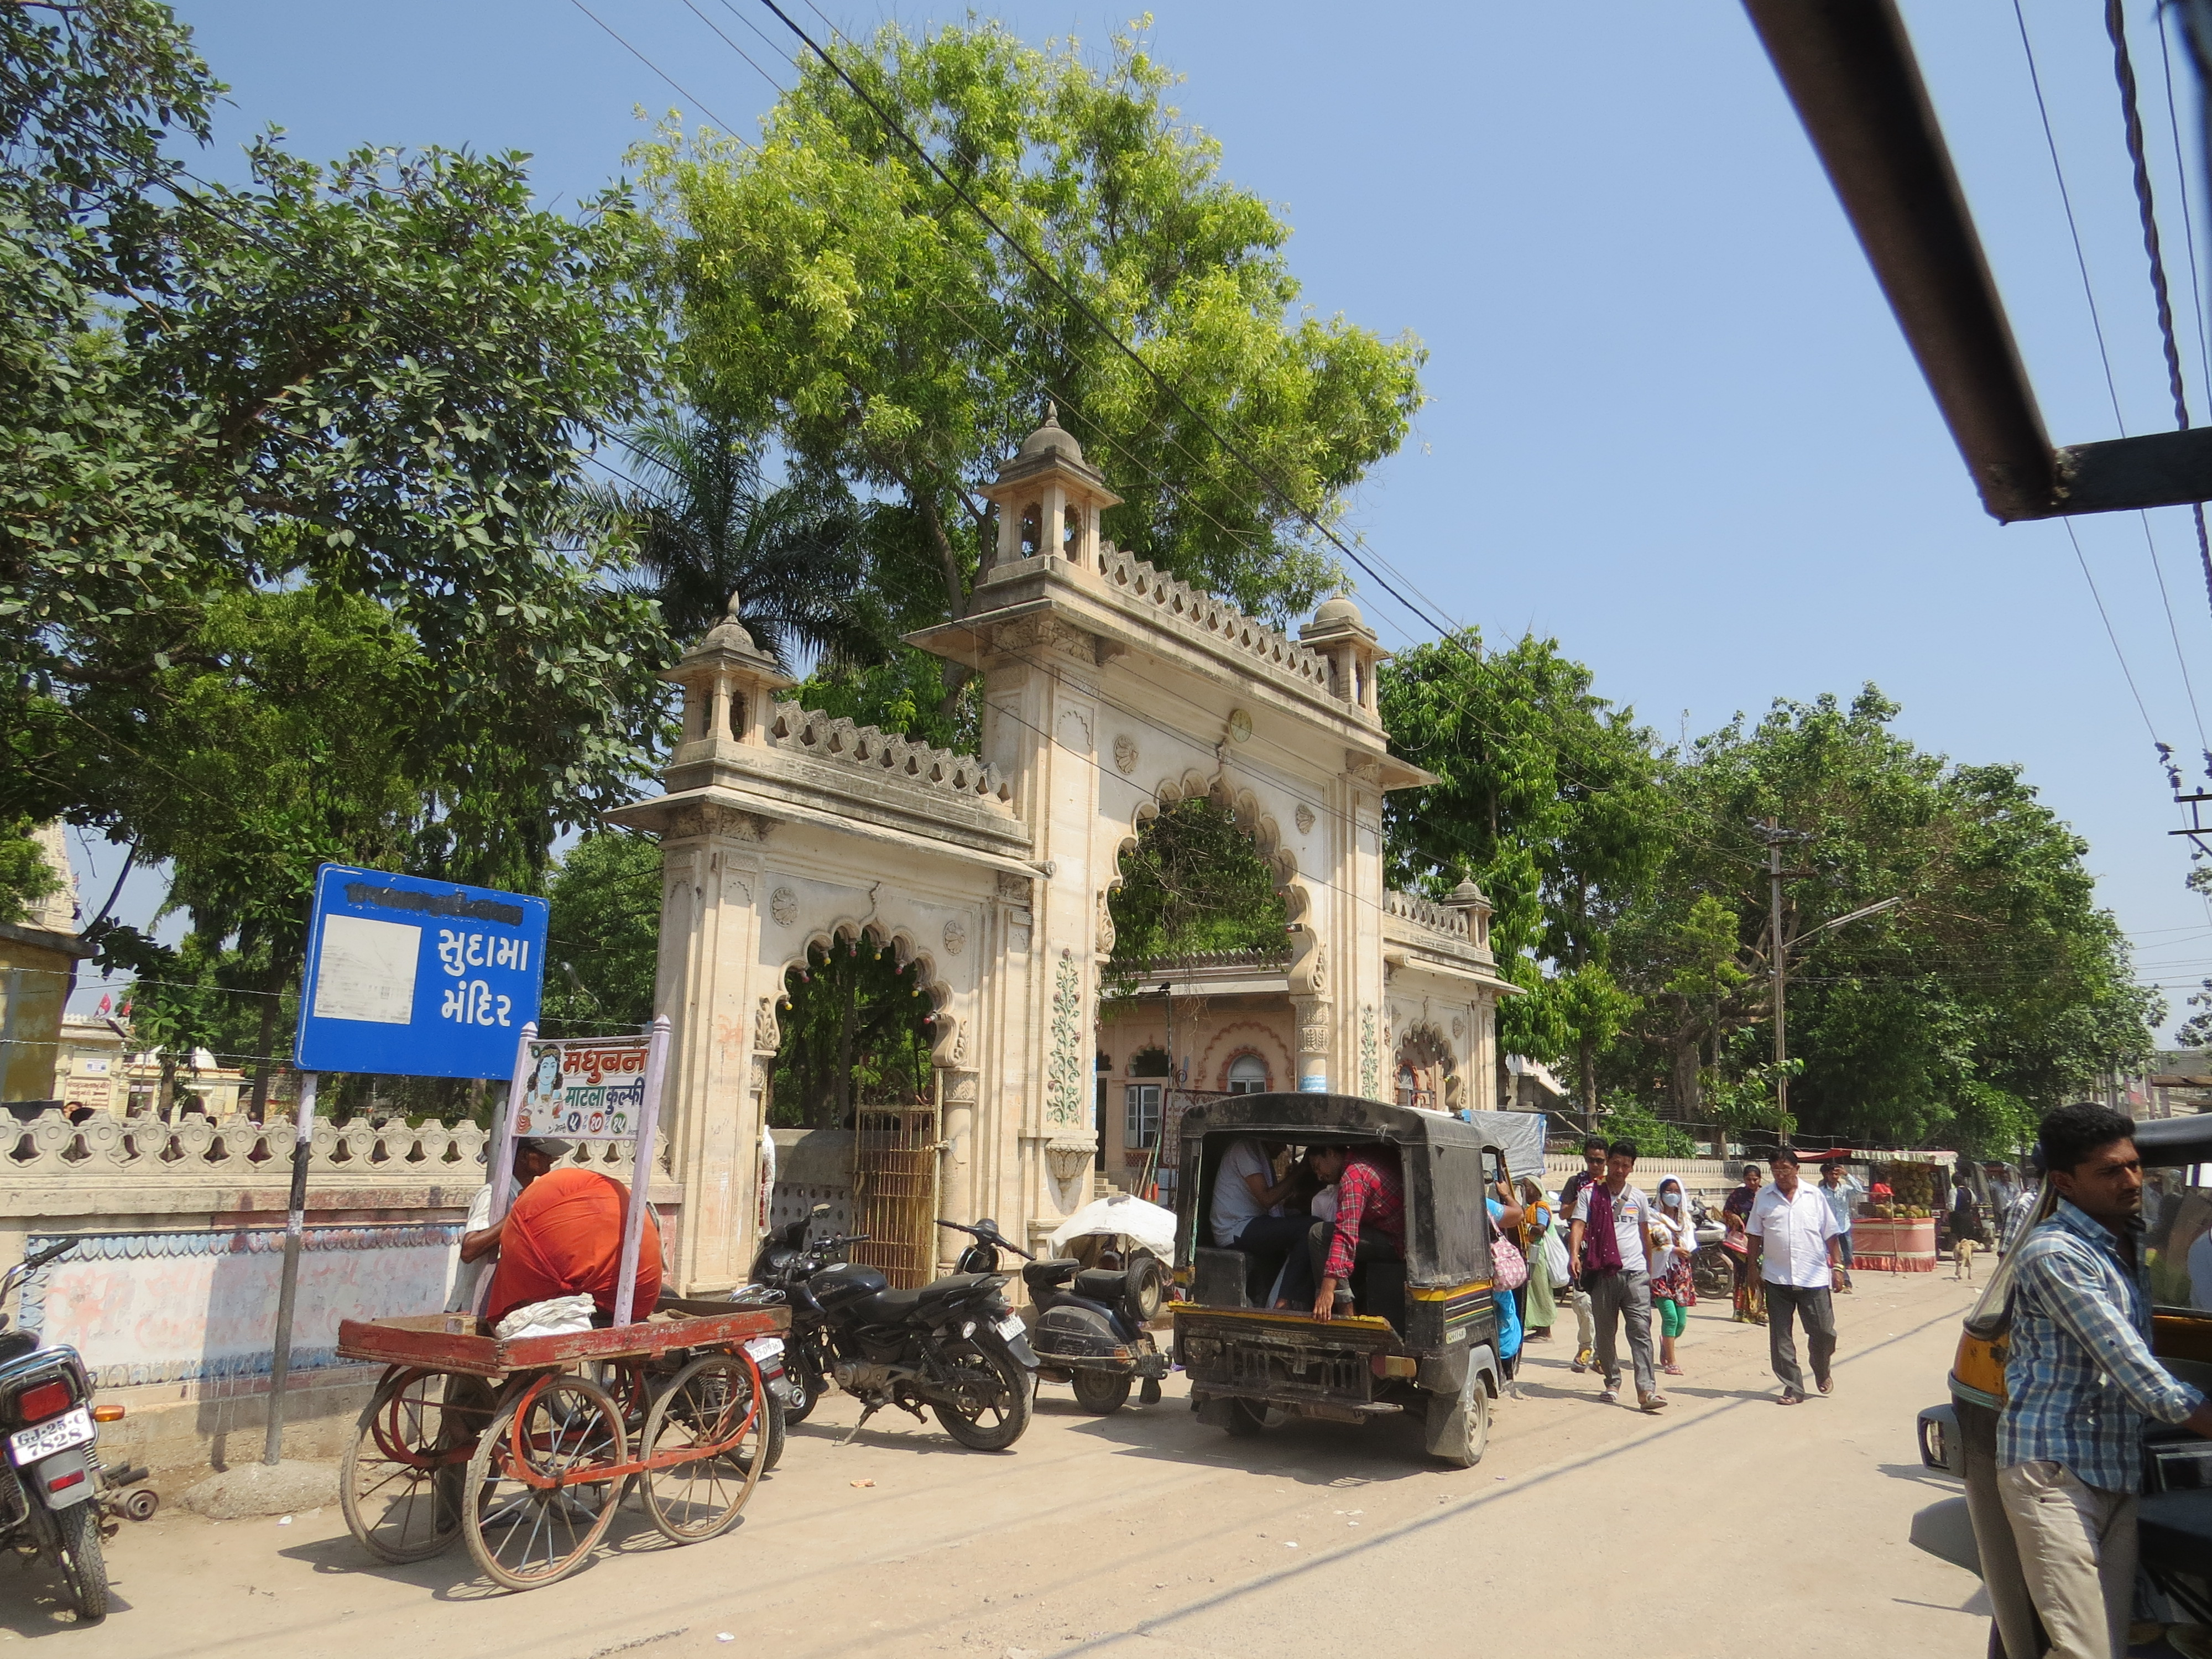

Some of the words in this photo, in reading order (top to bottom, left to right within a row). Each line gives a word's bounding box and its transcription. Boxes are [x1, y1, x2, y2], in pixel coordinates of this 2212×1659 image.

[436, 927, 532, 978] સુદામા
[428, 976, 517, 1032] મંદિર
[562, 1047, 652, 1083] मधुबन
[563, 1086, 608, 1110] माटला
[603, 1076, 646, 1116] कुल्फी
[15, 1424, 45, 1447] GJ.
[24, 1426, 85, 1462] 7828
[43, 1415, 69, 1436] 25
[69, 1410, 88, 1428] ે૧૦